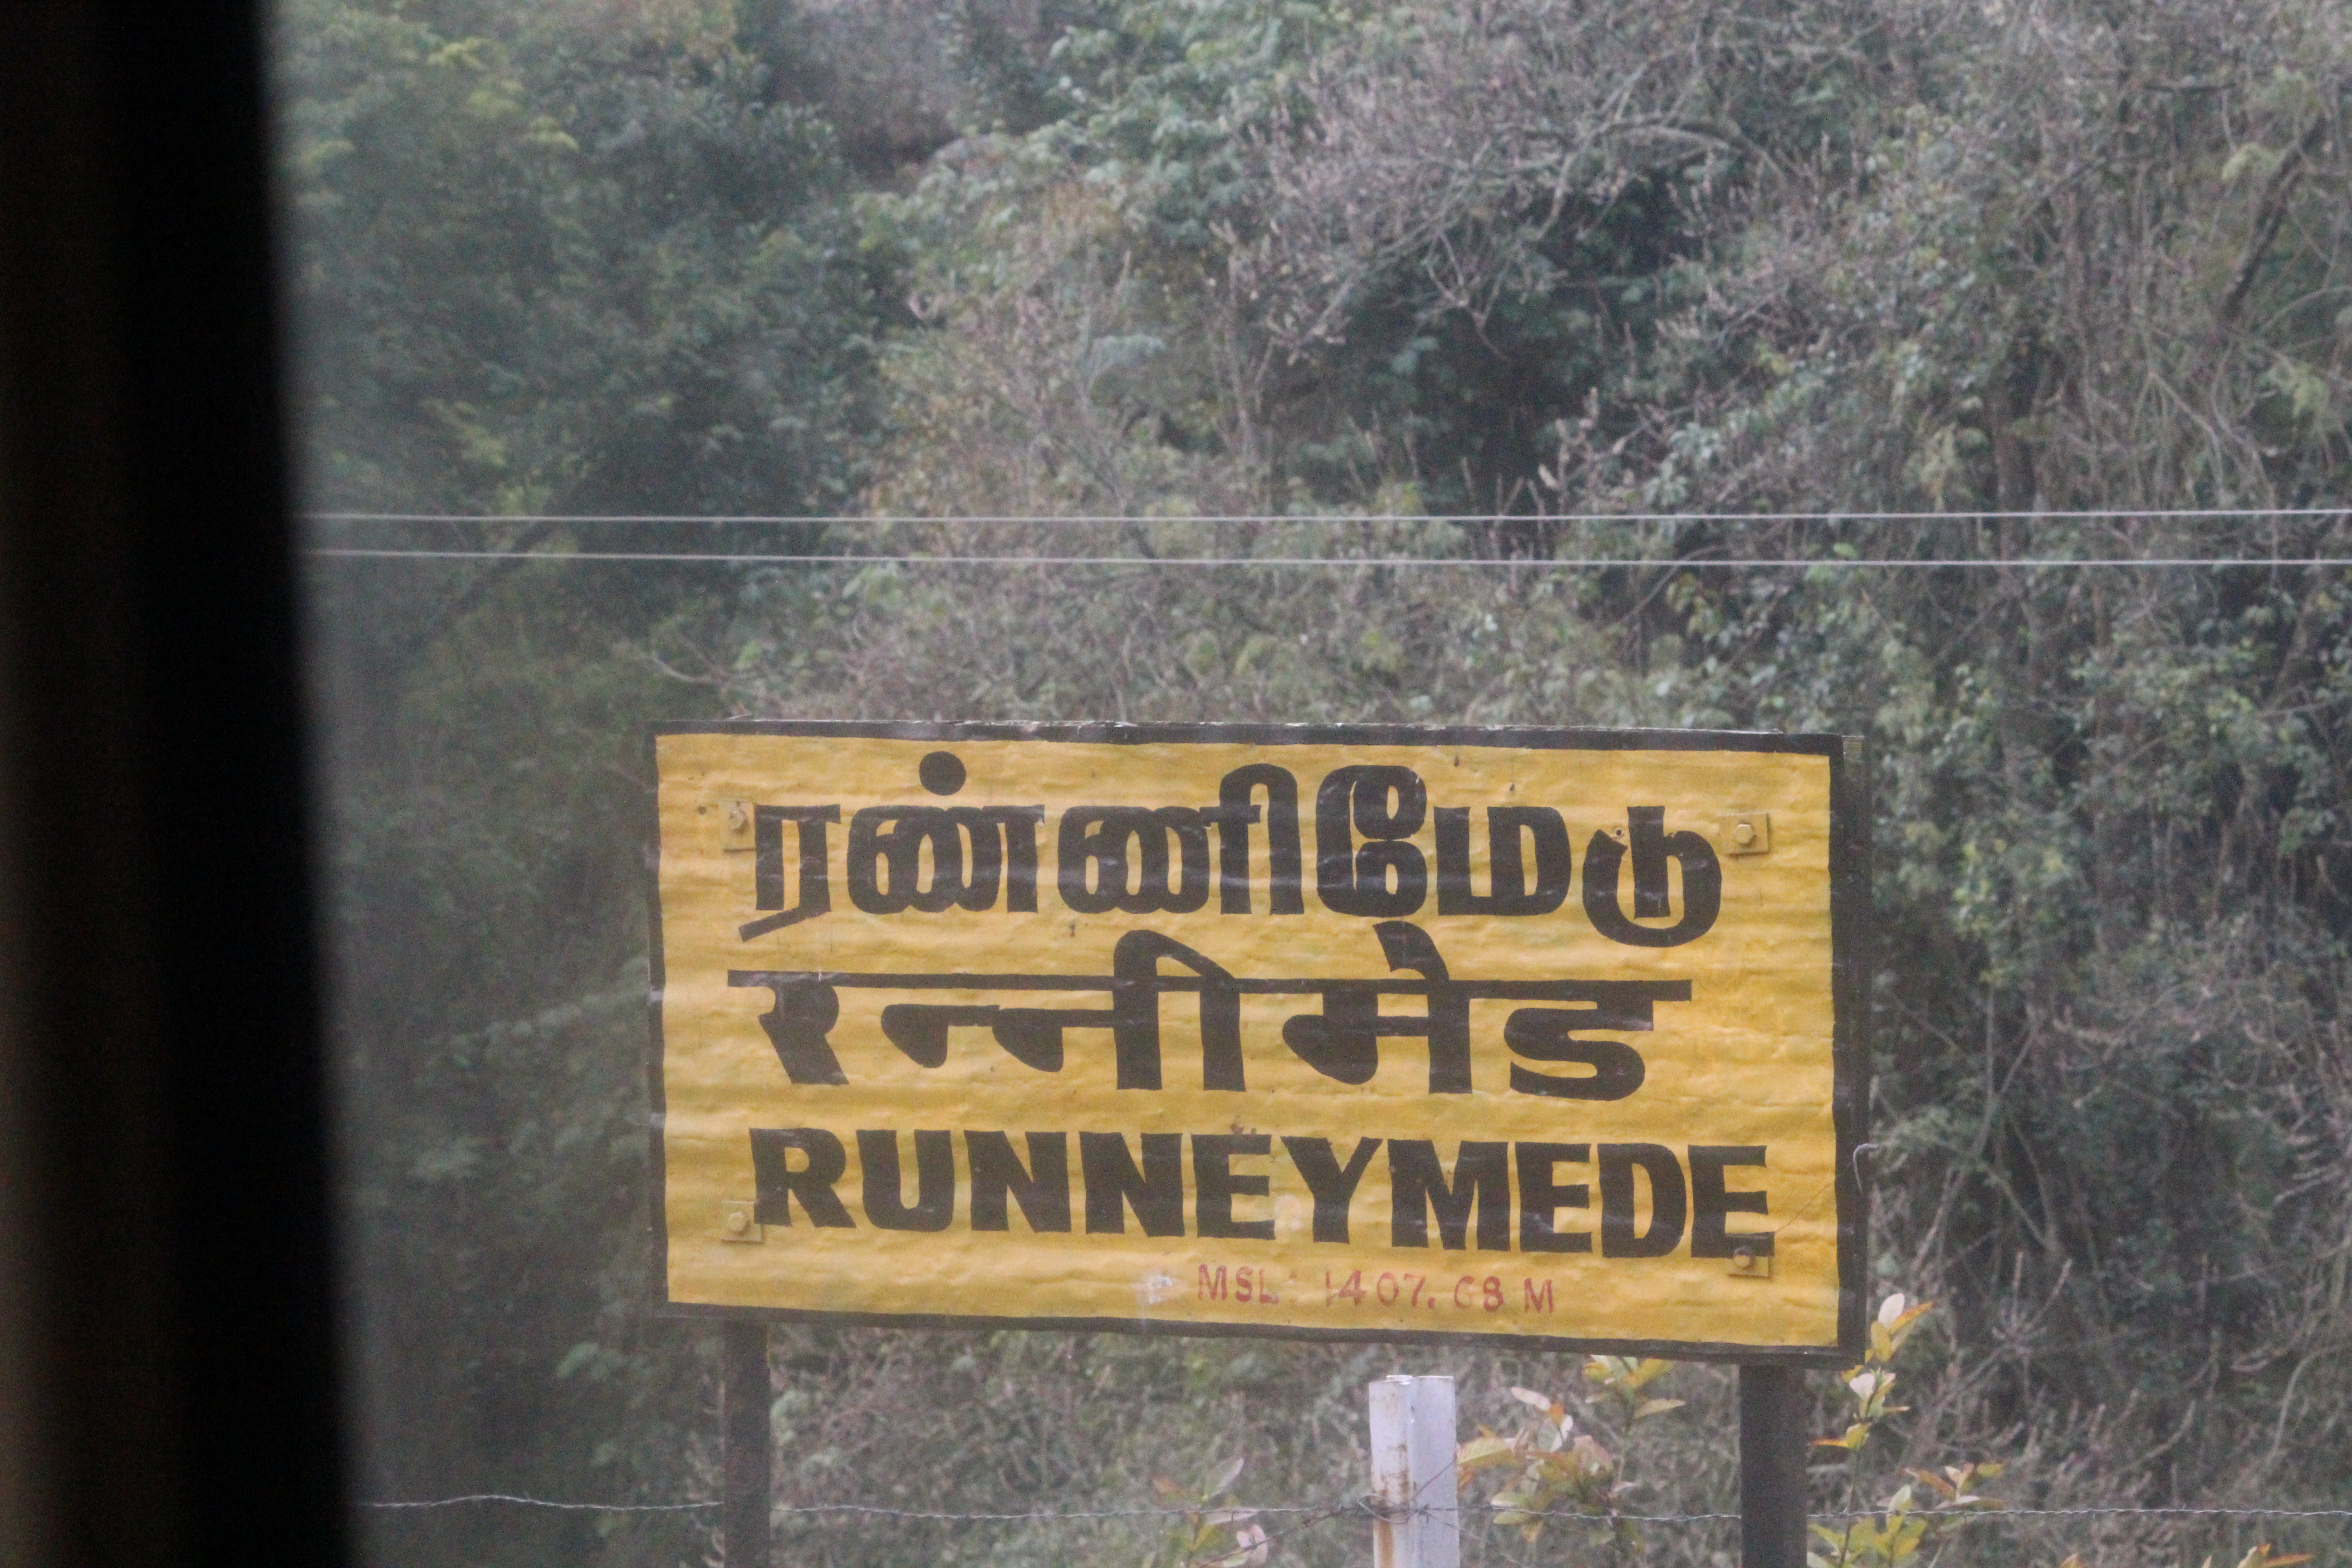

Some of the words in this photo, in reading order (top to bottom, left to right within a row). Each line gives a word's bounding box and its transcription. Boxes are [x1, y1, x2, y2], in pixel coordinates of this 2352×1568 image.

[735, 745, 1729, 954] ரண்ணிமேடு
[722, 917, 1695, 1107] रन्नीमेड
[746, 1125, 1779, 1263] RUNNEYMEDE
[1190, 1258, 1280, 1311] MSL
[1320, 1264, 1558, 1322] 1407.68M